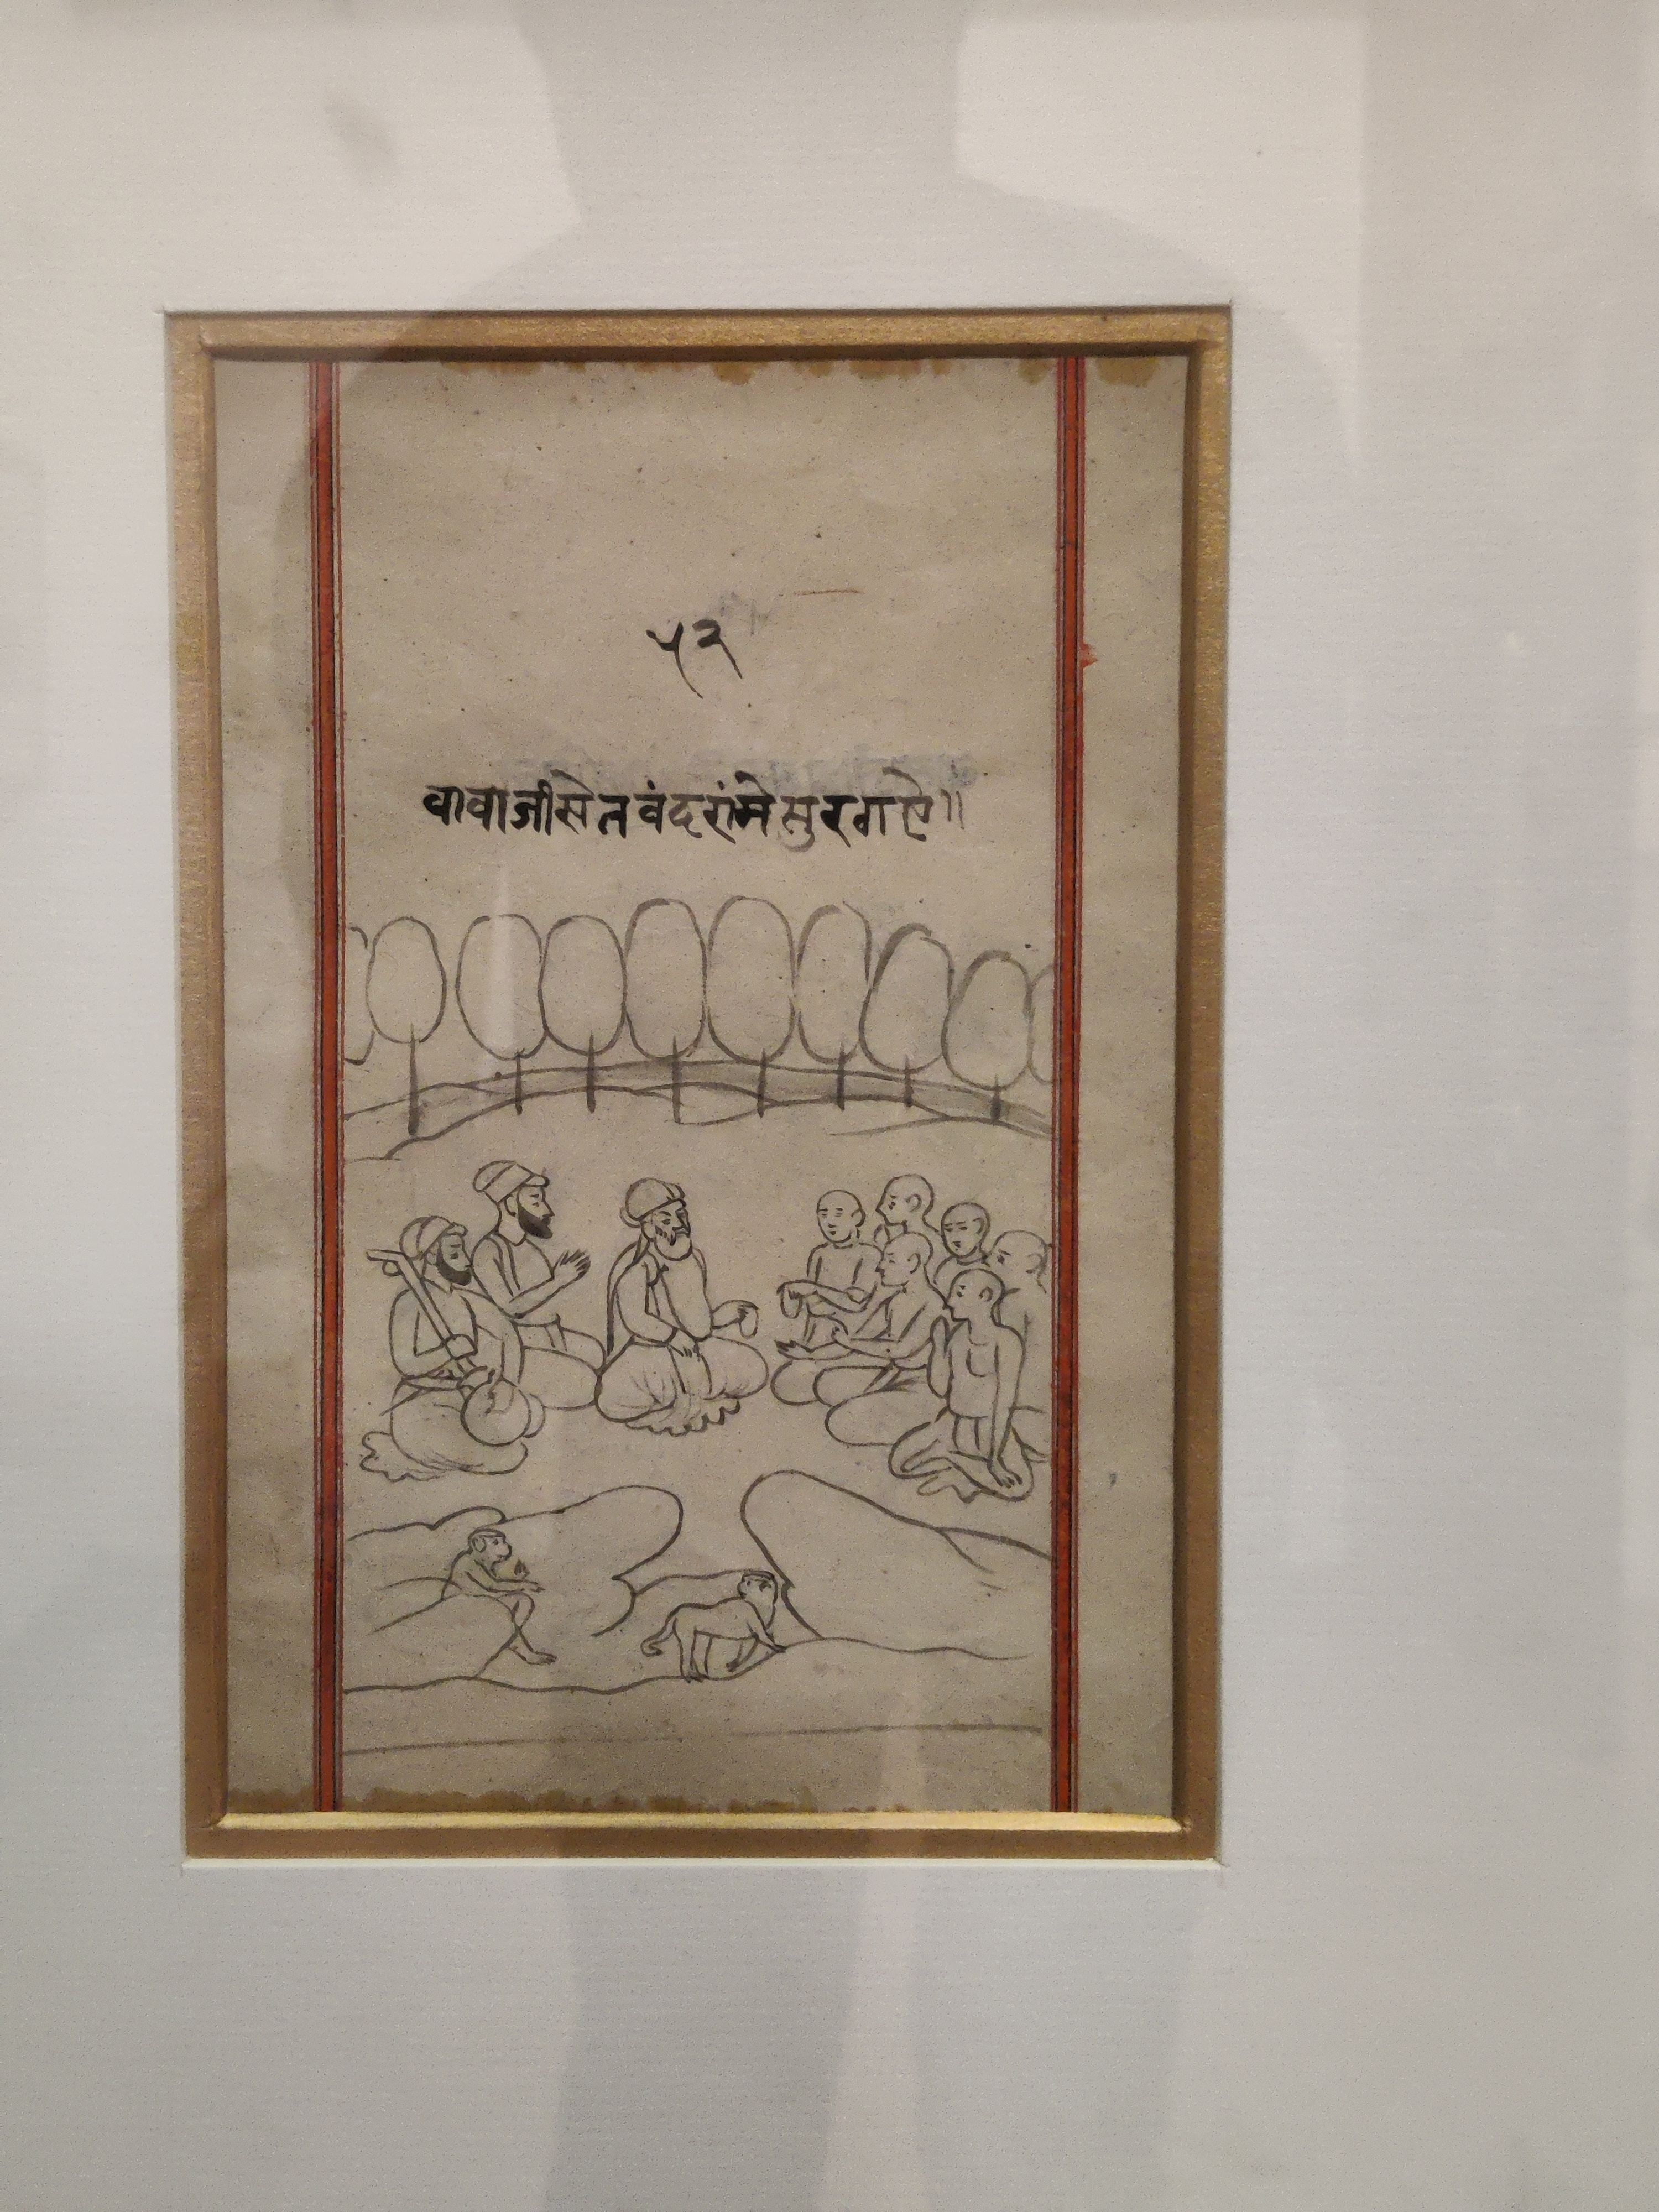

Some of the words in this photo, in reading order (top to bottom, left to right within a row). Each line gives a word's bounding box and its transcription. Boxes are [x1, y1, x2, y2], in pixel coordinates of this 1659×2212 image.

[642, 617, 747, 701] y2
[420, 766, 630, 839] वावाजीसे त
[632, 764, 932, 853] वंदरांमे सुरगऐ